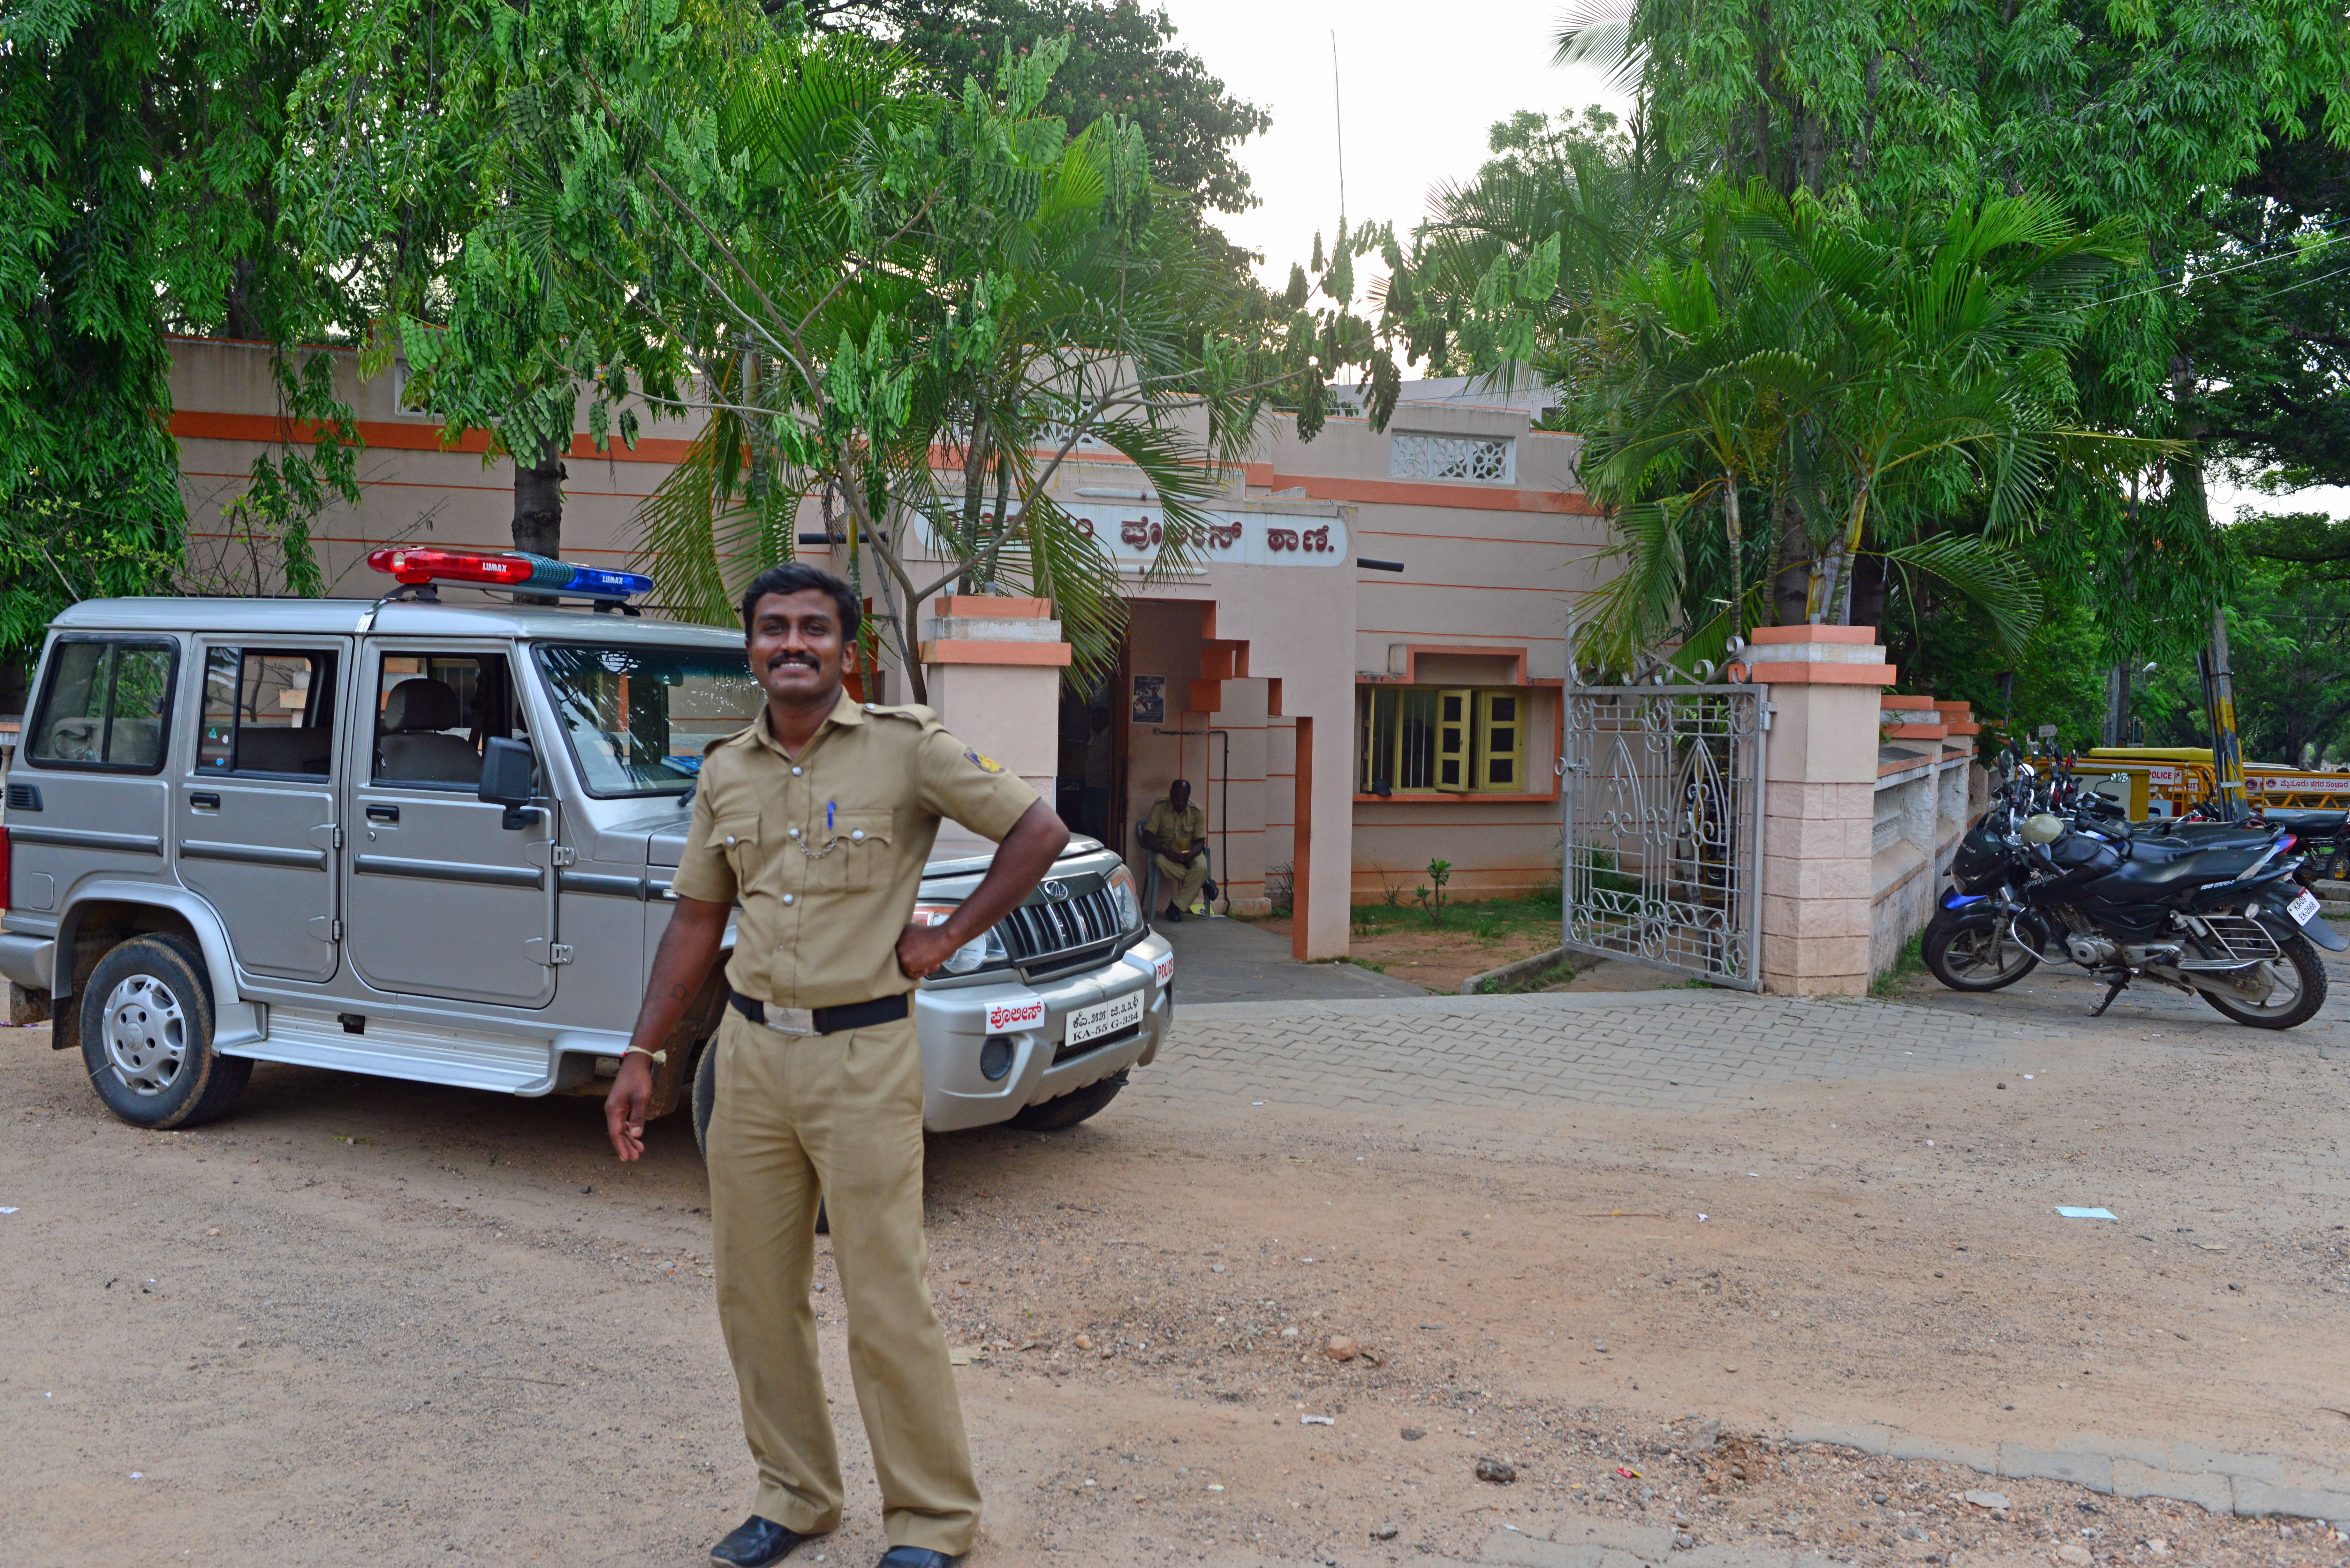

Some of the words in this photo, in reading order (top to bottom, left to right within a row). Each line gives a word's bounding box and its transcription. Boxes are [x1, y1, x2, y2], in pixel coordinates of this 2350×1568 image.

[1117, 509, 1246, 553] ಪೊಲೀಸ್
[1265, 526, 1337, 558] ಠಾಣೆ
[2145, 769, 2174, 781] OLICE
[2279, 776, 2310, 790] ಮೈಸೂರು
[2308, 777, 2325, 790] ನಗರ
[2324, 779, 2349, 789] ಸ0ಚಾರ
[1156, 955, 1175, 982] POLICE
[989, 999, 1044, 1030] ಪೊಲೀಸ್
[1070, 1008, 1107, 1032] ಕೆಎ.೫೫
[1071, 1021, 1109, 1043] KA-55
[1109, 991, 1140, 1018] ಜಿ-೩೩೪
[1111, 1009, 1140, 1029] G-334